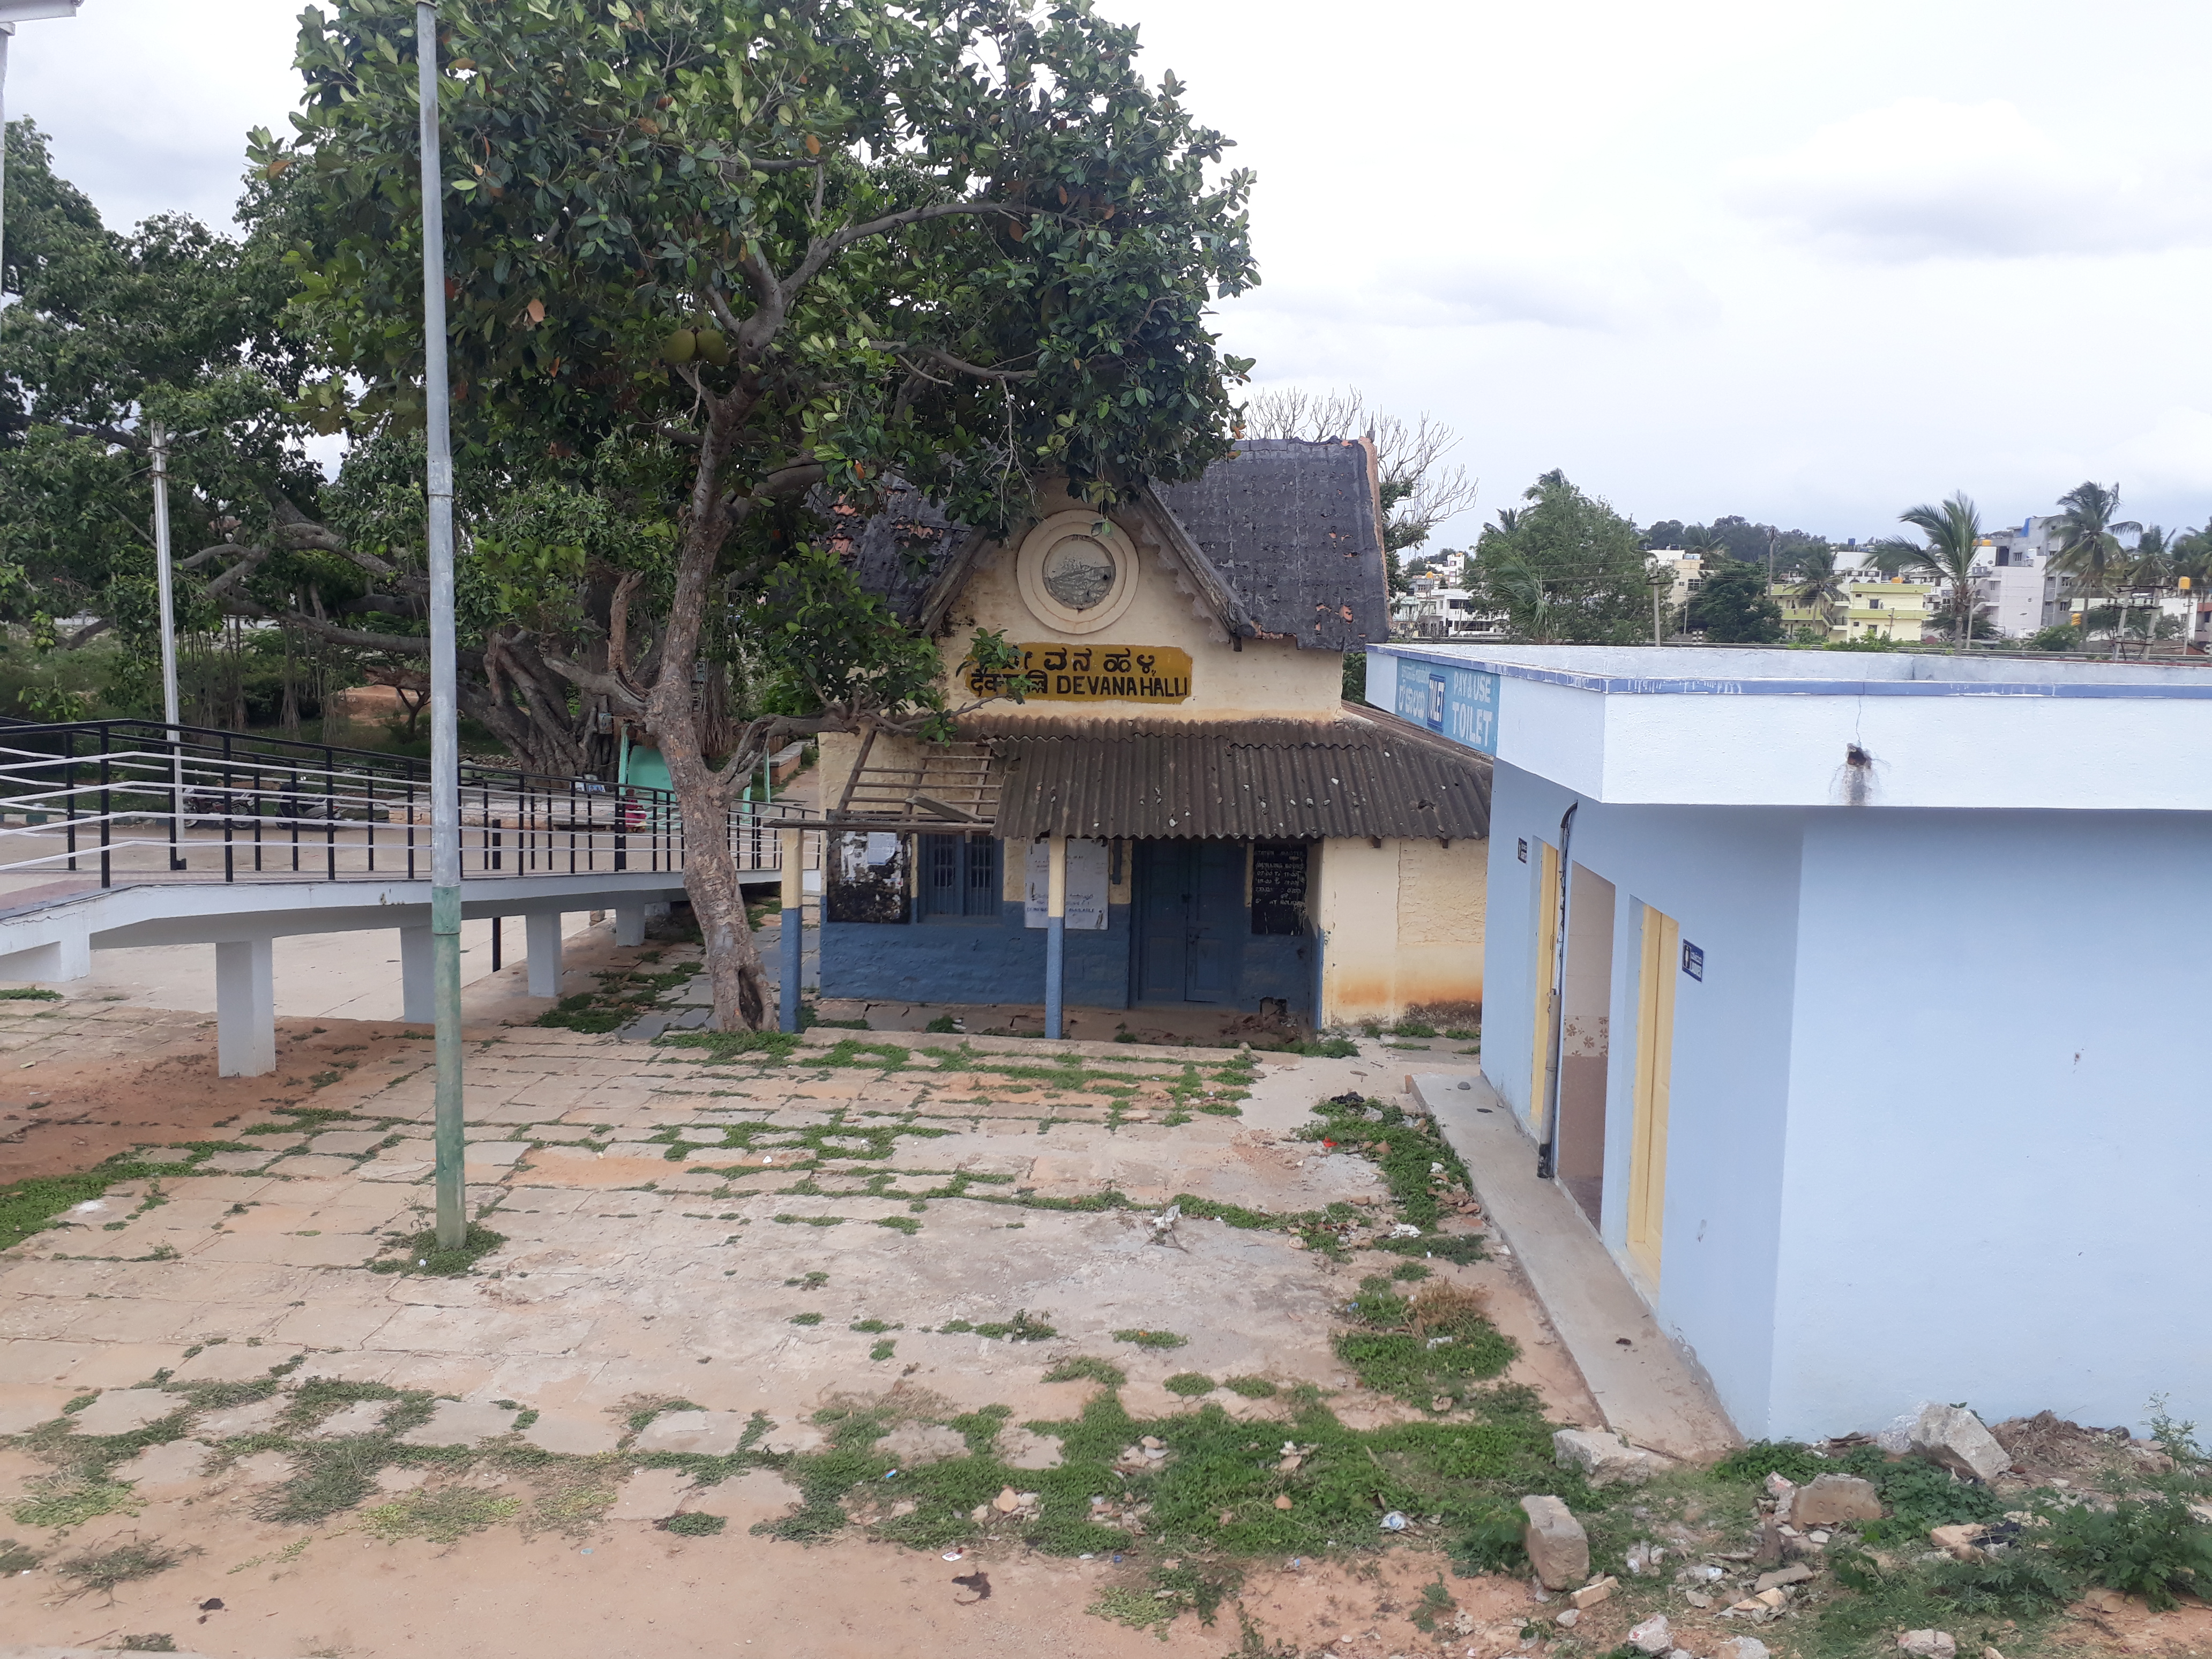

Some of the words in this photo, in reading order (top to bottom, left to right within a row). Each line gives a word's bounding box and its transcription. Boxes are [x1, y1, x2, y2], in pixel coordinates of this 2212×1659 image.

[1041, 642, 1097, 674] ವನೆ
[1100, 641, 1158, 678] ಹ೪
[969, 663, 1052, 696] देवनहल्लि
[1055, 670, 1189, 698] DEVANAHALLI
[1396, 677, 1429, 721] ಶೌಚಾಲಯ
[1425, 677, 1446, 723] TOILET
[1452, 669, 1493, 705] PAY&USE
[1451, 698, 1492, 749] TOILET